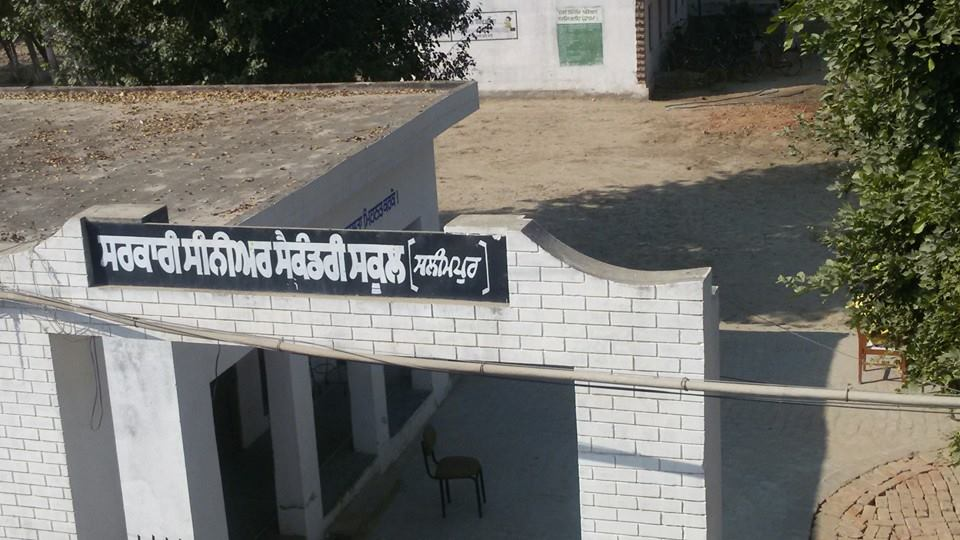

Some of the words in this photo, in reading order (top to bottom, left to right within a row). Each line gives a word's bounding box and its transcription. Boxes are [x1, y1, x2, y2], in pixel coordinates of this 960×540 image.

[93, 226, 185, 281] ਸਰਕਾਰੀ
[180, 225, 277, 286] ਸੀਨੀਅਰ
[271, 229, 348, 289] ਸੈਕੰਡਰੀ
[347, 237, 408, 297] ਸਕੂਲ
[411, 243, 486, 291] ਸਲੀਮਪੁਰ